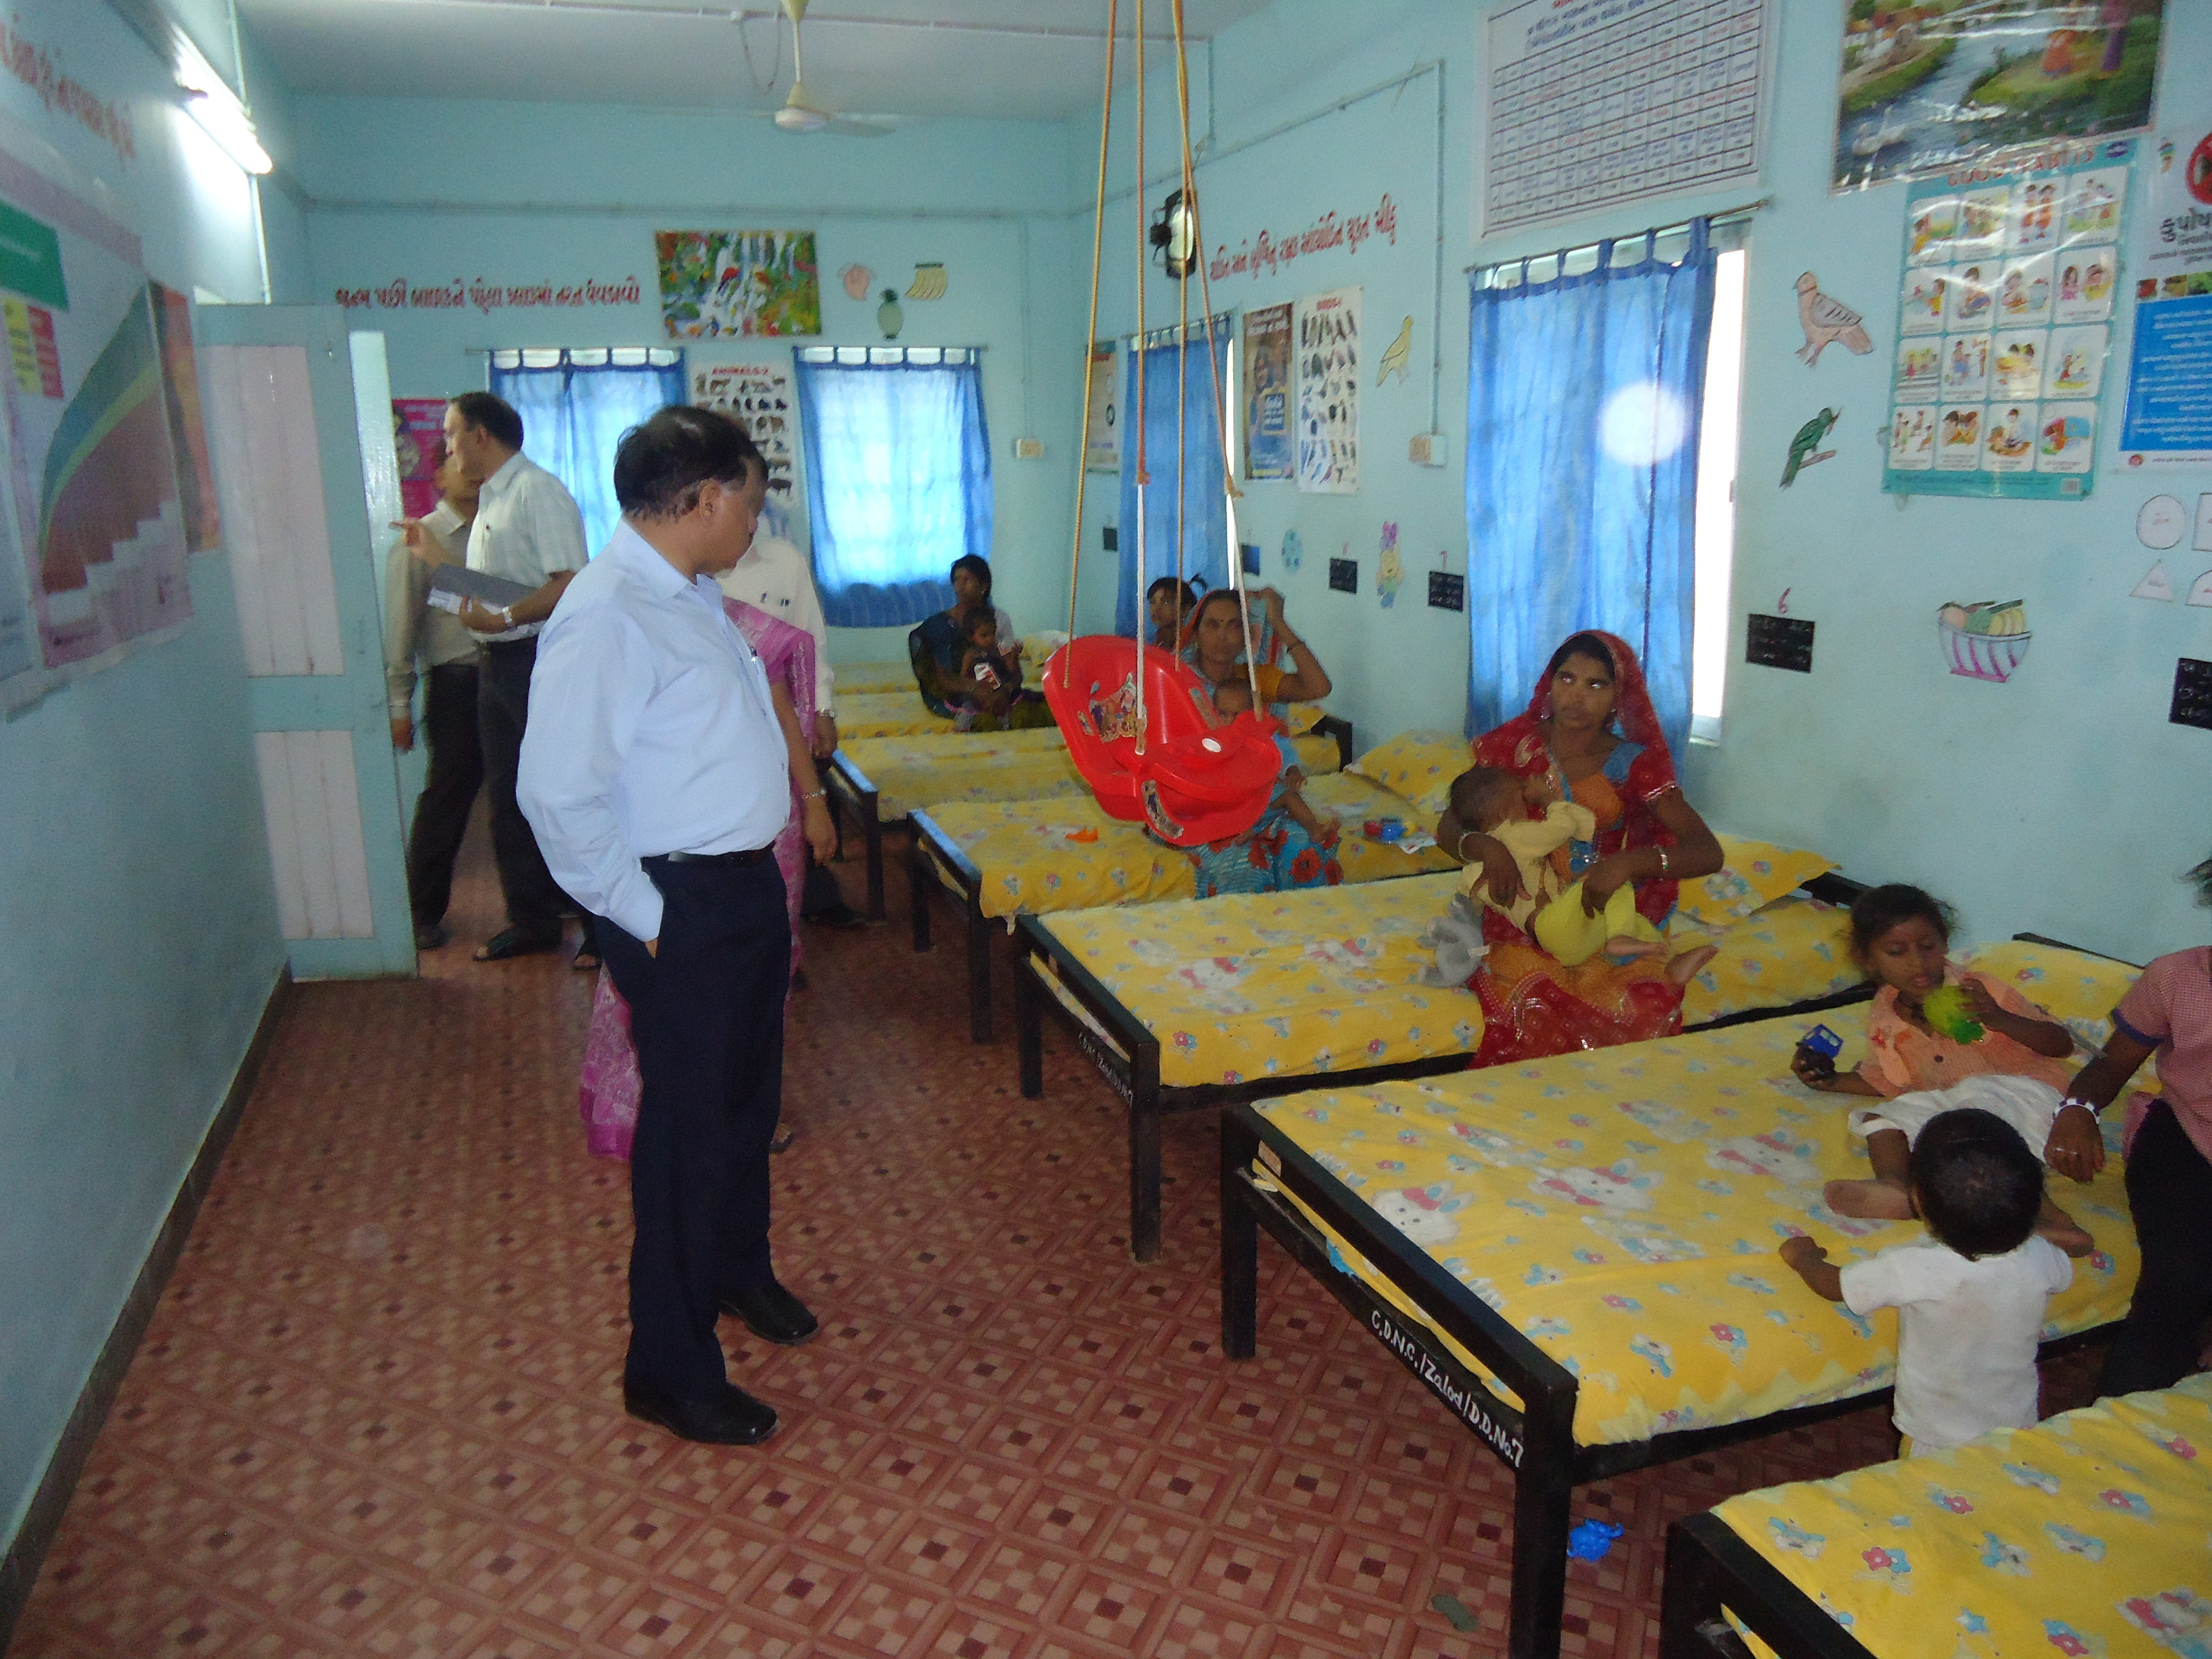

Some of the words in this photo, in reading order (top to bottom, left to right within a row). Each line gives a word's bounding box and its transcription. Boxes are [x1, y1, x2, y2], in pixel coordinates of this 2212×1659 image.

[1362, 1304, 1531, 1475] C.D.N.C./Zalod/D.D.No.7